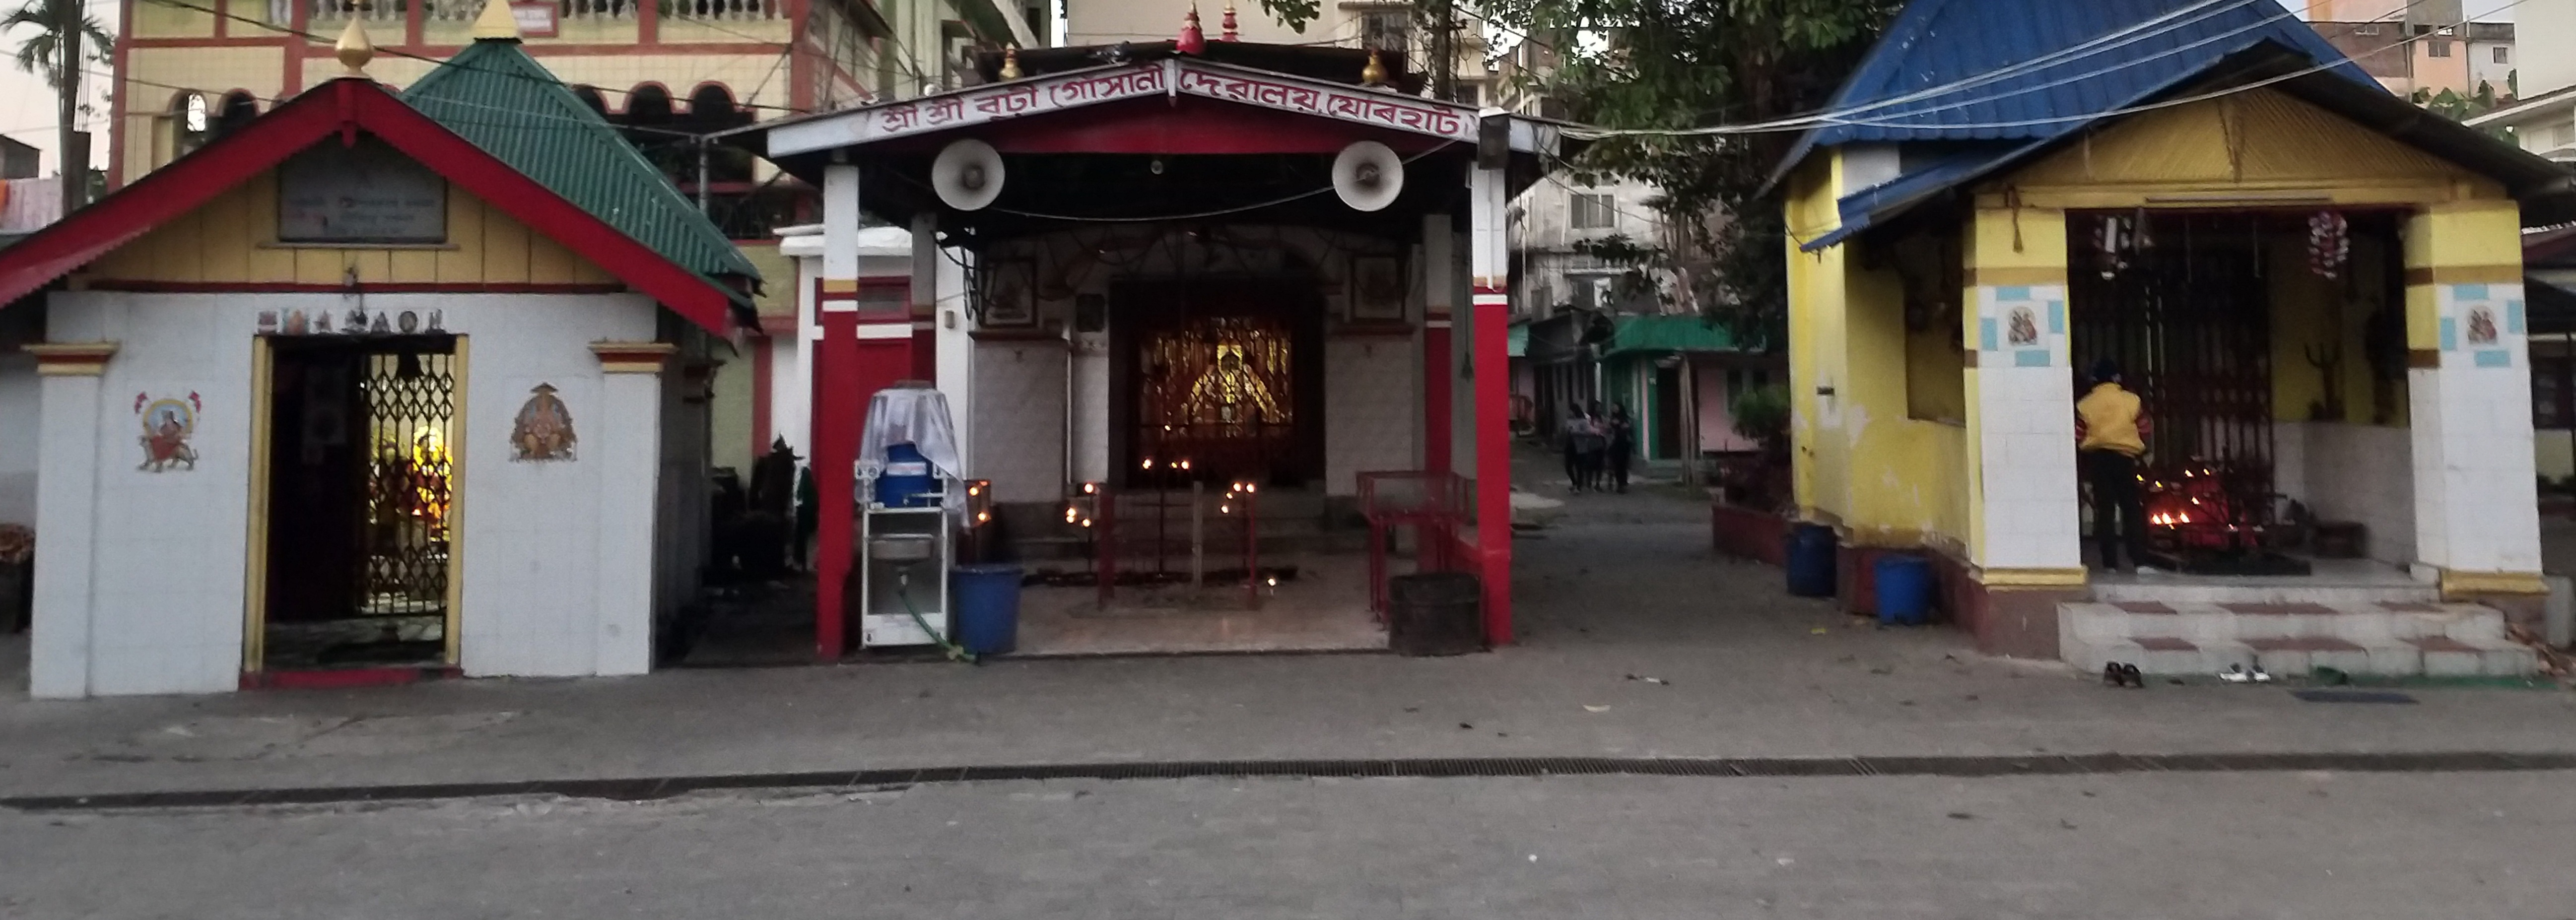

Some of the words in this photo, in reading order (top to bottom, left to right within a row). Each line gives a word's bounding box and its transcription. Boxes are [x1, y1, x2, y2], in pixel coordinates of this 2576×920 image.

[879, 88, 966, 135] শ্রী শ্রী
[970, 78, 1041, 119] বঢ়ী
[1048, 59, 1169, 109] গোসানী
[1176, 65, 1324, 112] দেৱালয়
[1323, 90, 1465, 136] যোৰহাট